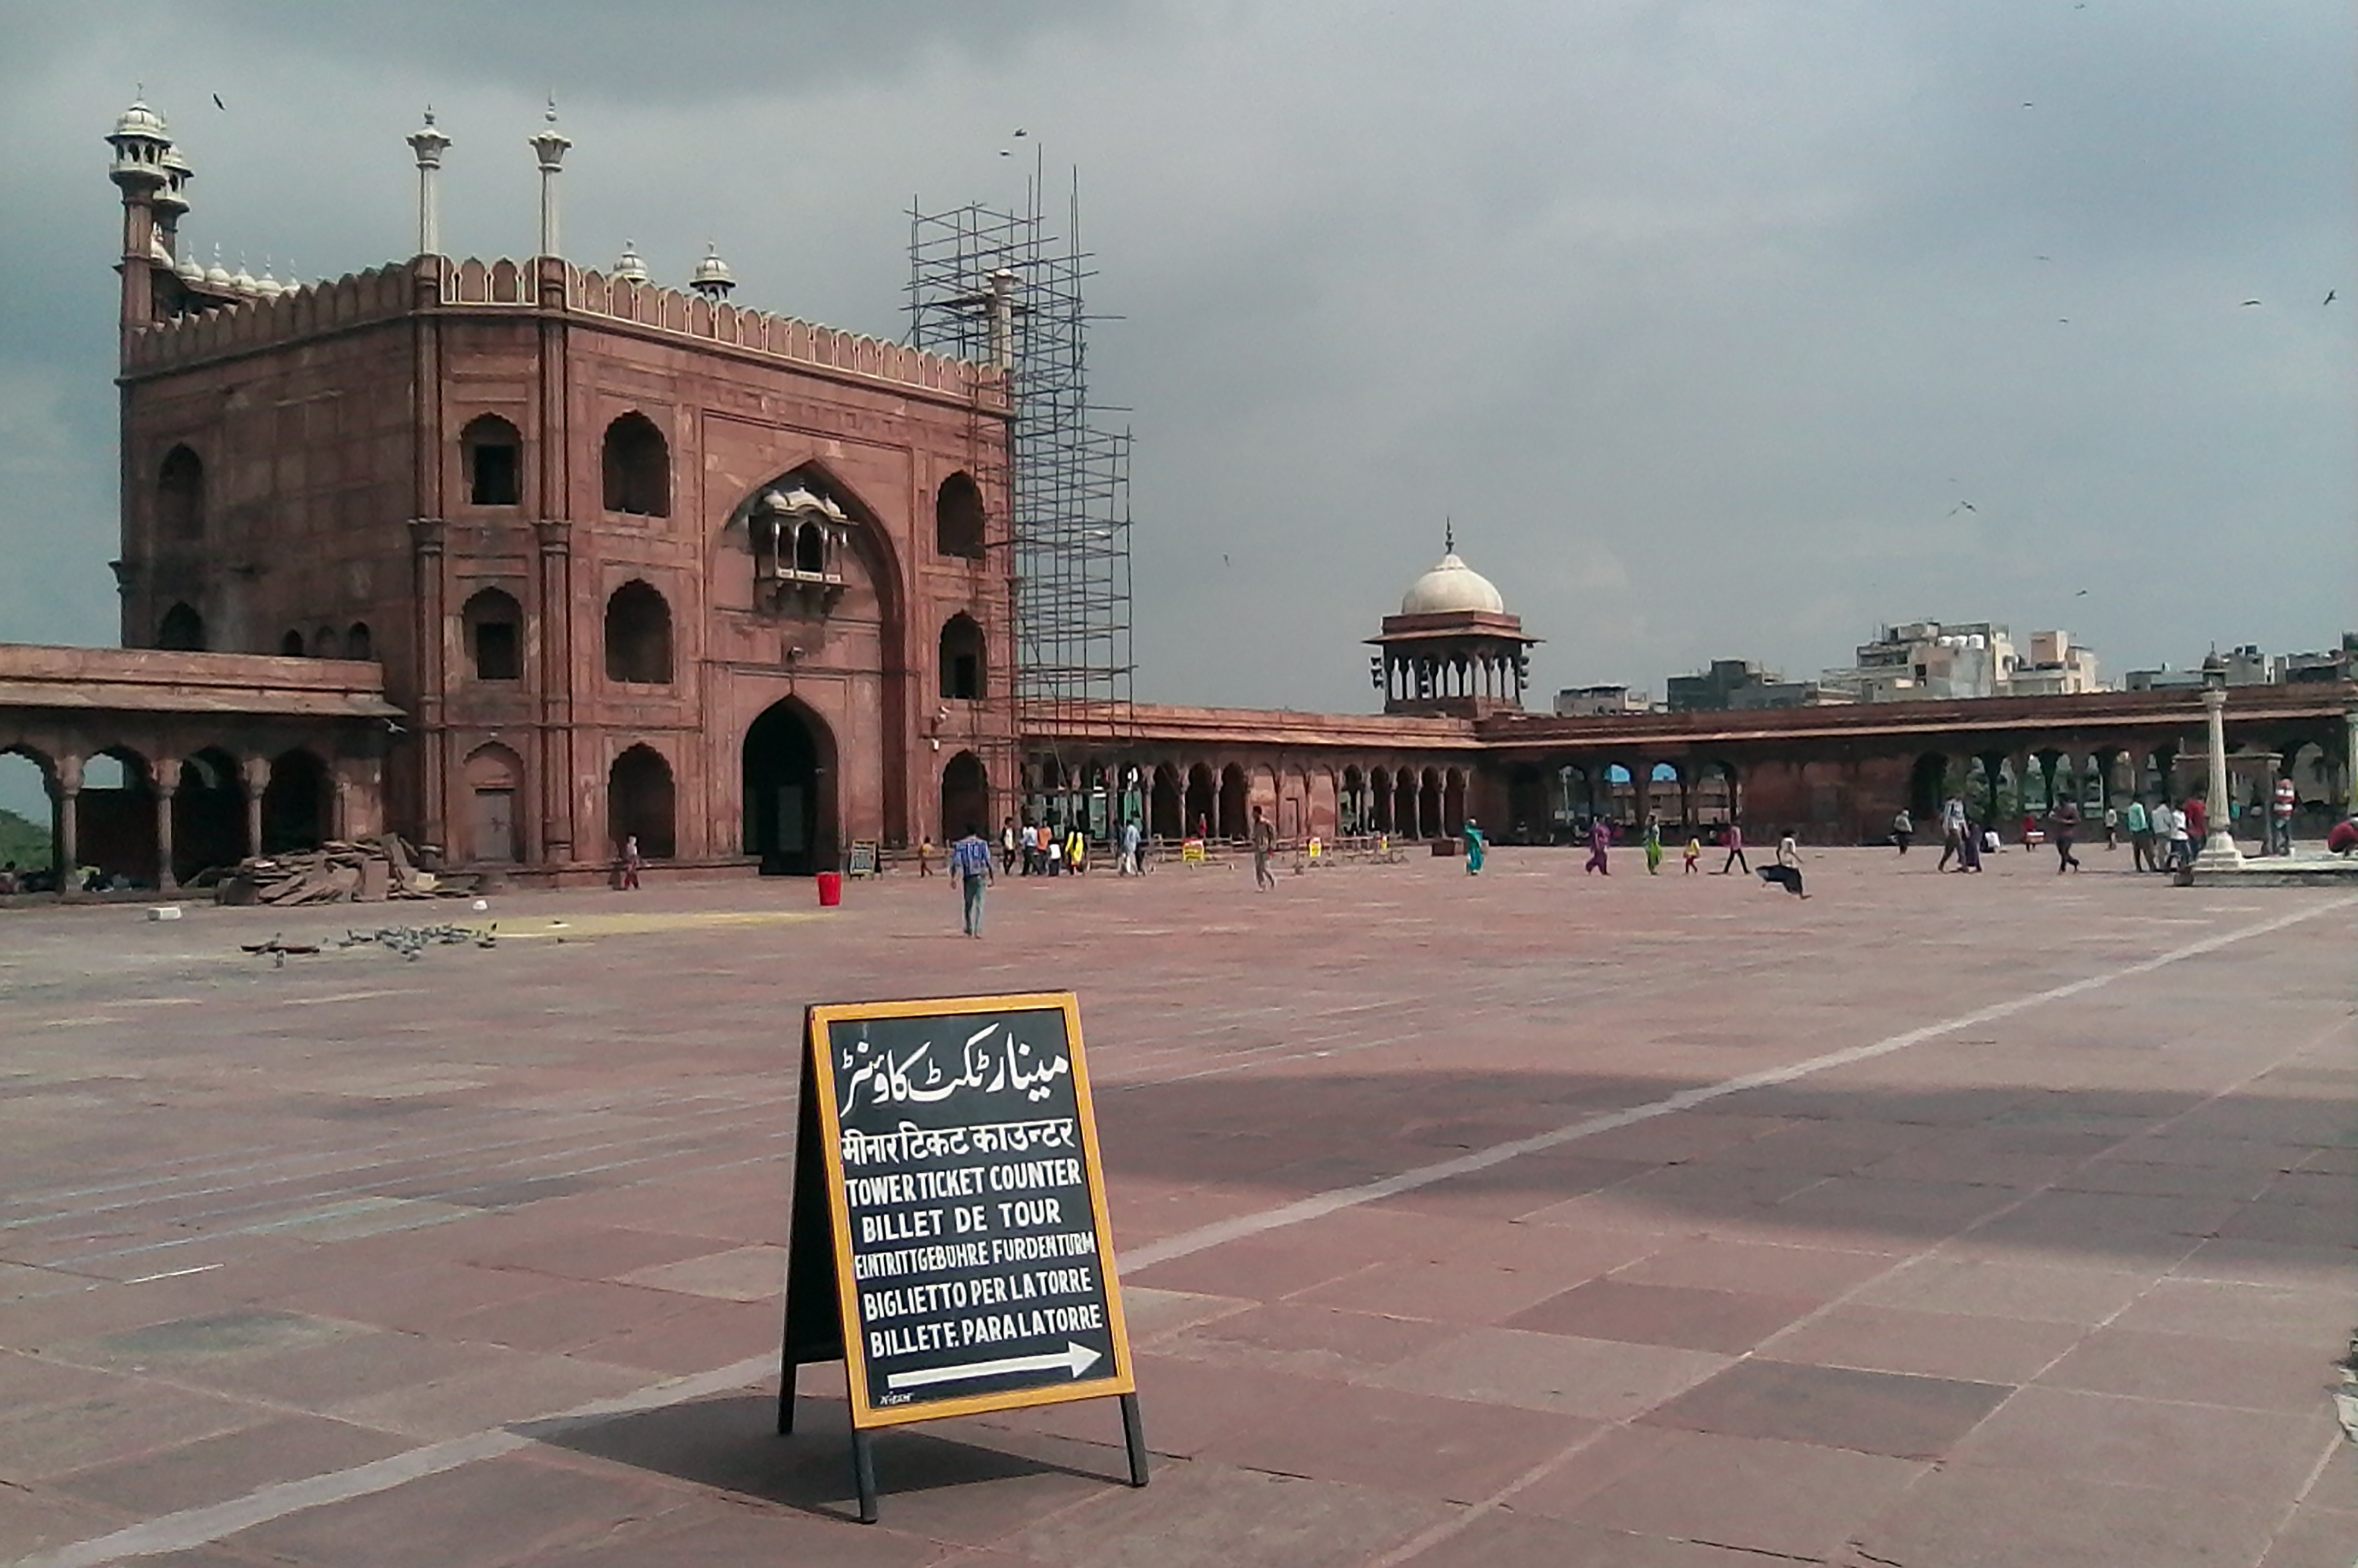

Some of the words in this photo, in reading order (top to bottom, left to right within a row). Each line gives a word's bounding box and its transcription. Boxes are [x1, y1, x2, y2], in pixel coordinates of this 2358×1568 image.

[837, 1117, 972, 1169] मीनारटिकट
[967, 1116, 1078, 1158] काउन्टर
[843, 1171, 920, 1212] TOWER
[917, 1165, 986, 1202] TICKET
[987, 1156, 1083, 1195] COUNTER
[861, 1207, 946, 1248] BILLET
[850, 1238, 991, 1285] EINTRITTGEBUHRE
[952, 1202, 990, 1236] DE
[997, 1195, 1064, 1233] TOUR
[989, 1229, 1097, 1267] FURDENTURM
[861, 1279, 968, 1324] BIGLIETTO
[968, 1276, 1010, 1311] PER
[1007, 1266, 1096, 1304] LATORRE
[868, 1300, 1106, 1362] BILLETE.PARALATORRE